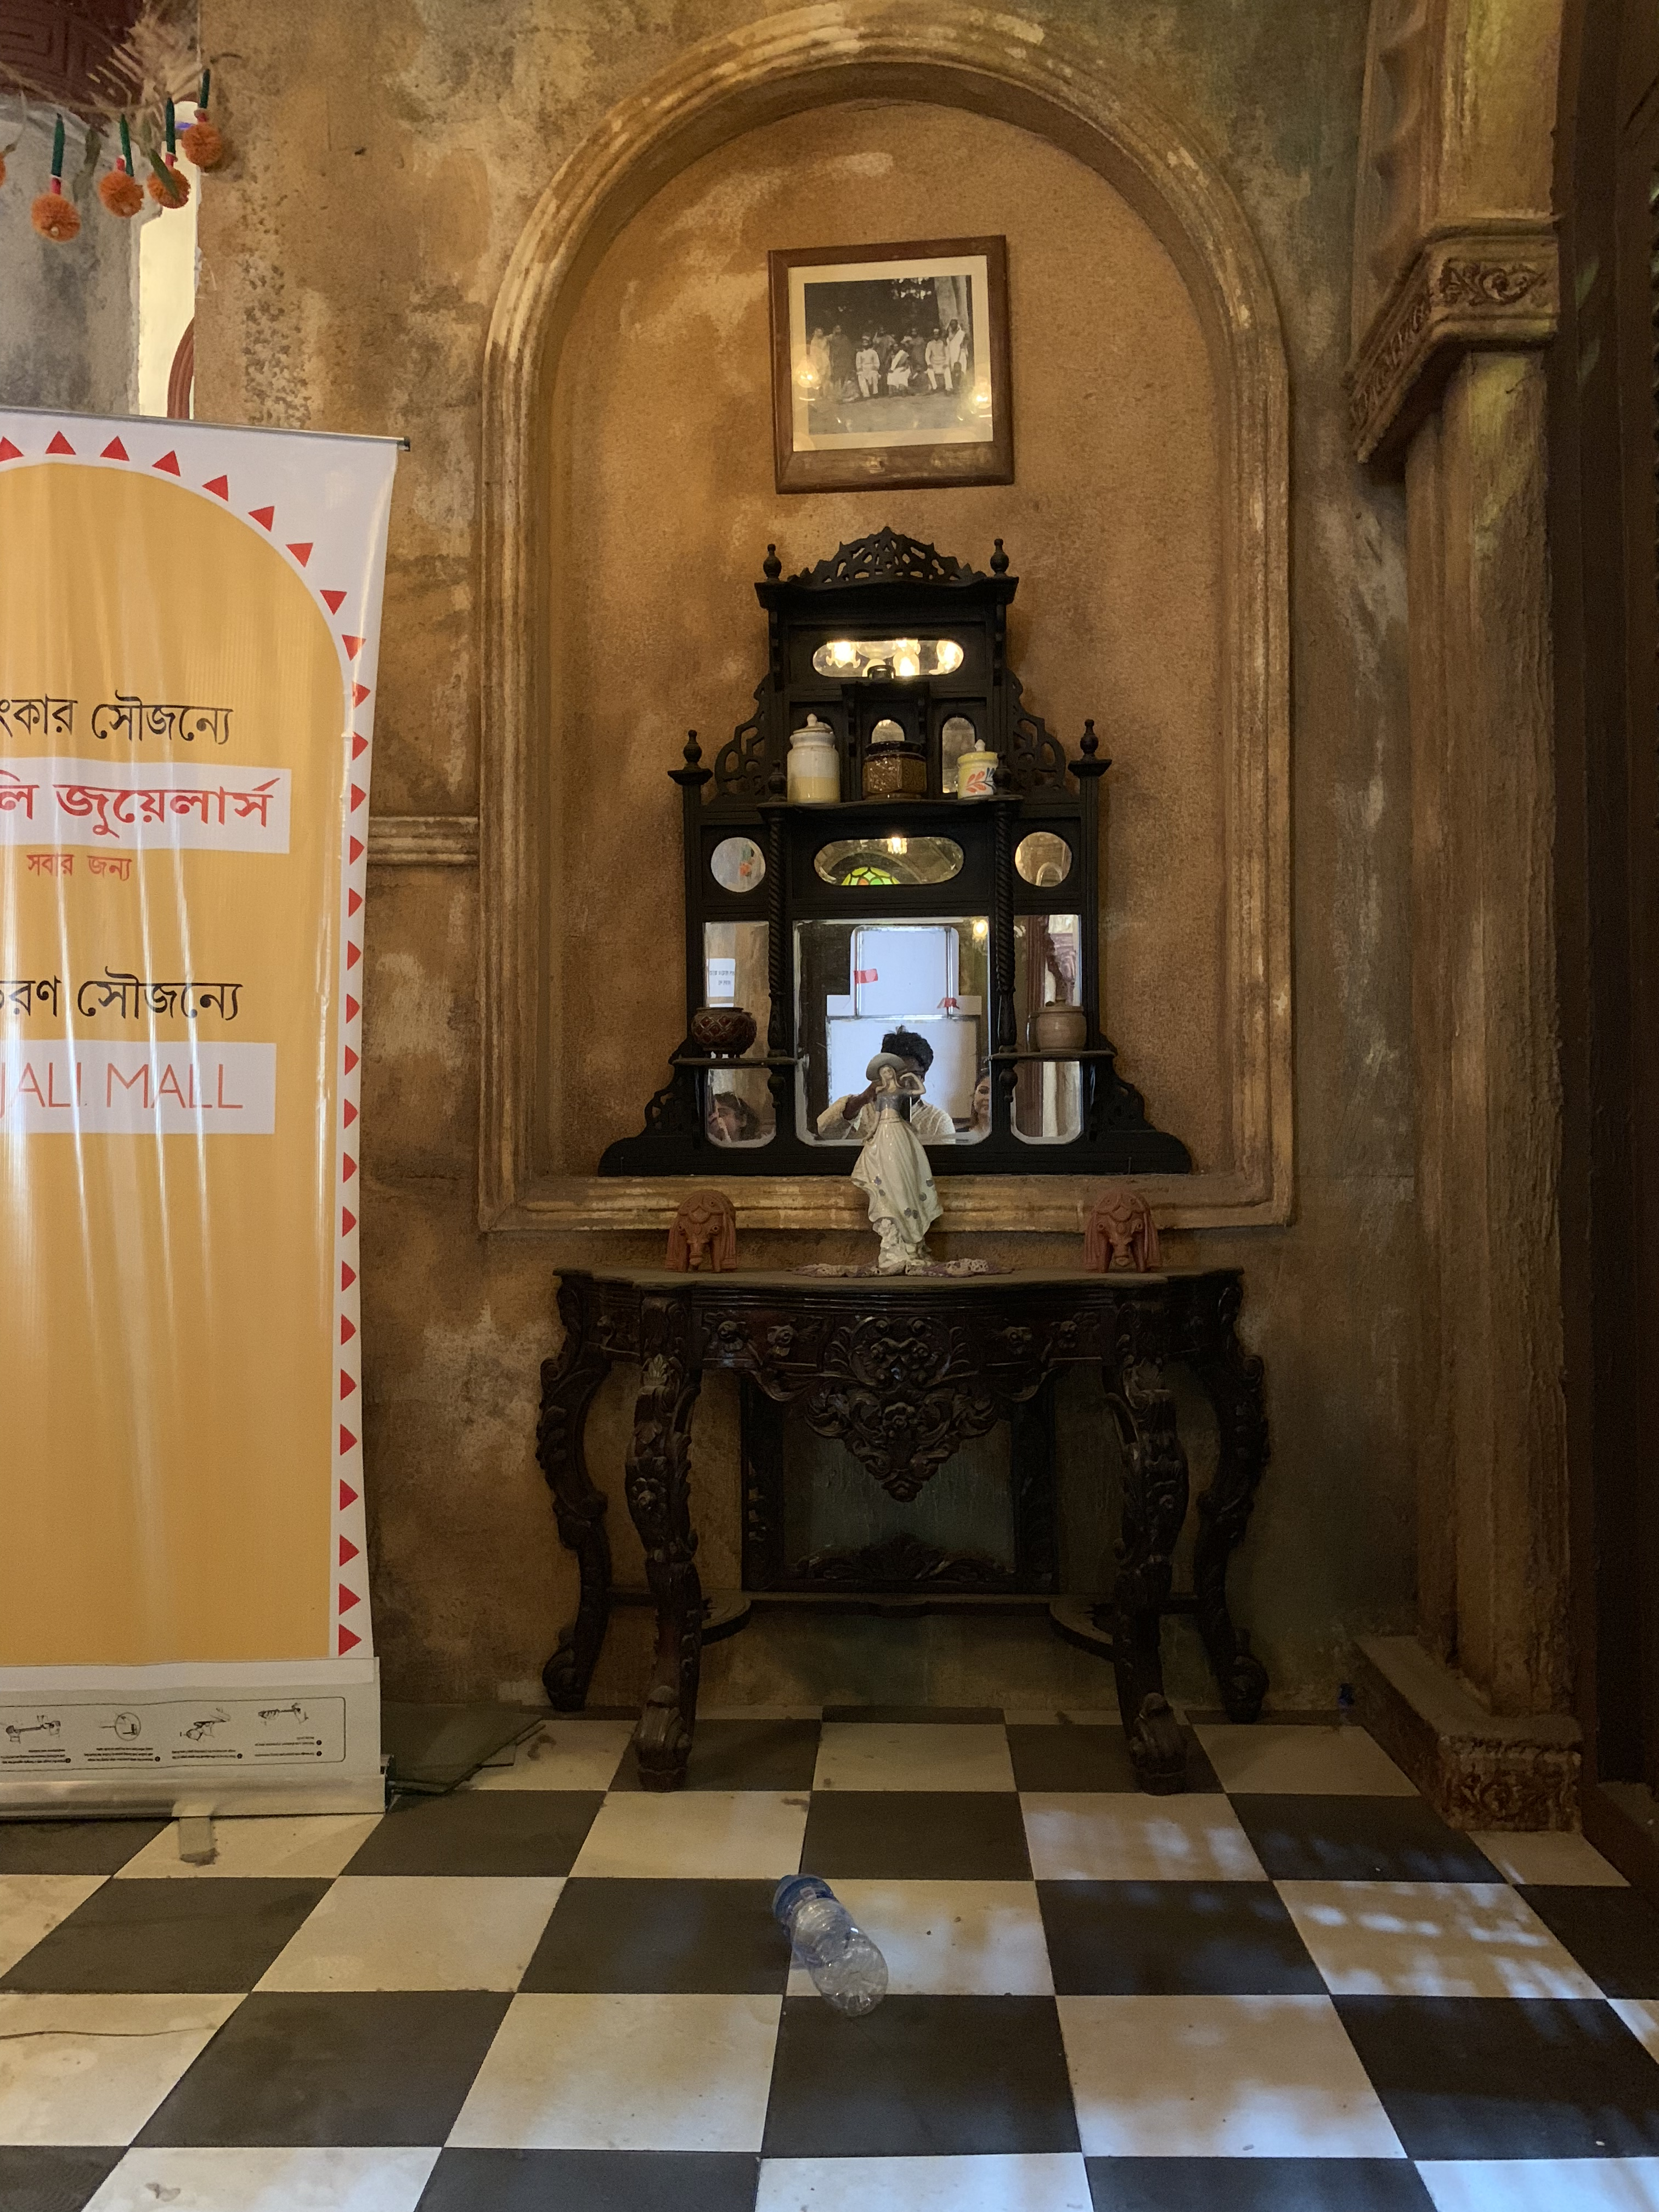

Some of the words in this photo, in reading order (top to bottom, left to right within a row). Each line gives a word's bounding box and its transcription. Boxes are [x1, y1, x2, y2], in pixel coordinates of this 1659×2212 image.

[4, 691, 86, 744] ৎকার
[82, 681, 240, 754] সৌজন্যে
[48, 770, 284, 846] জুয়েলার্স
[20, 849, 78, 885] সবার
[79, 840, 138, 888] জন্য
[71, 961, 252, 1030] সৌজন্যে
[94, 1058, 253, 1117] MALL